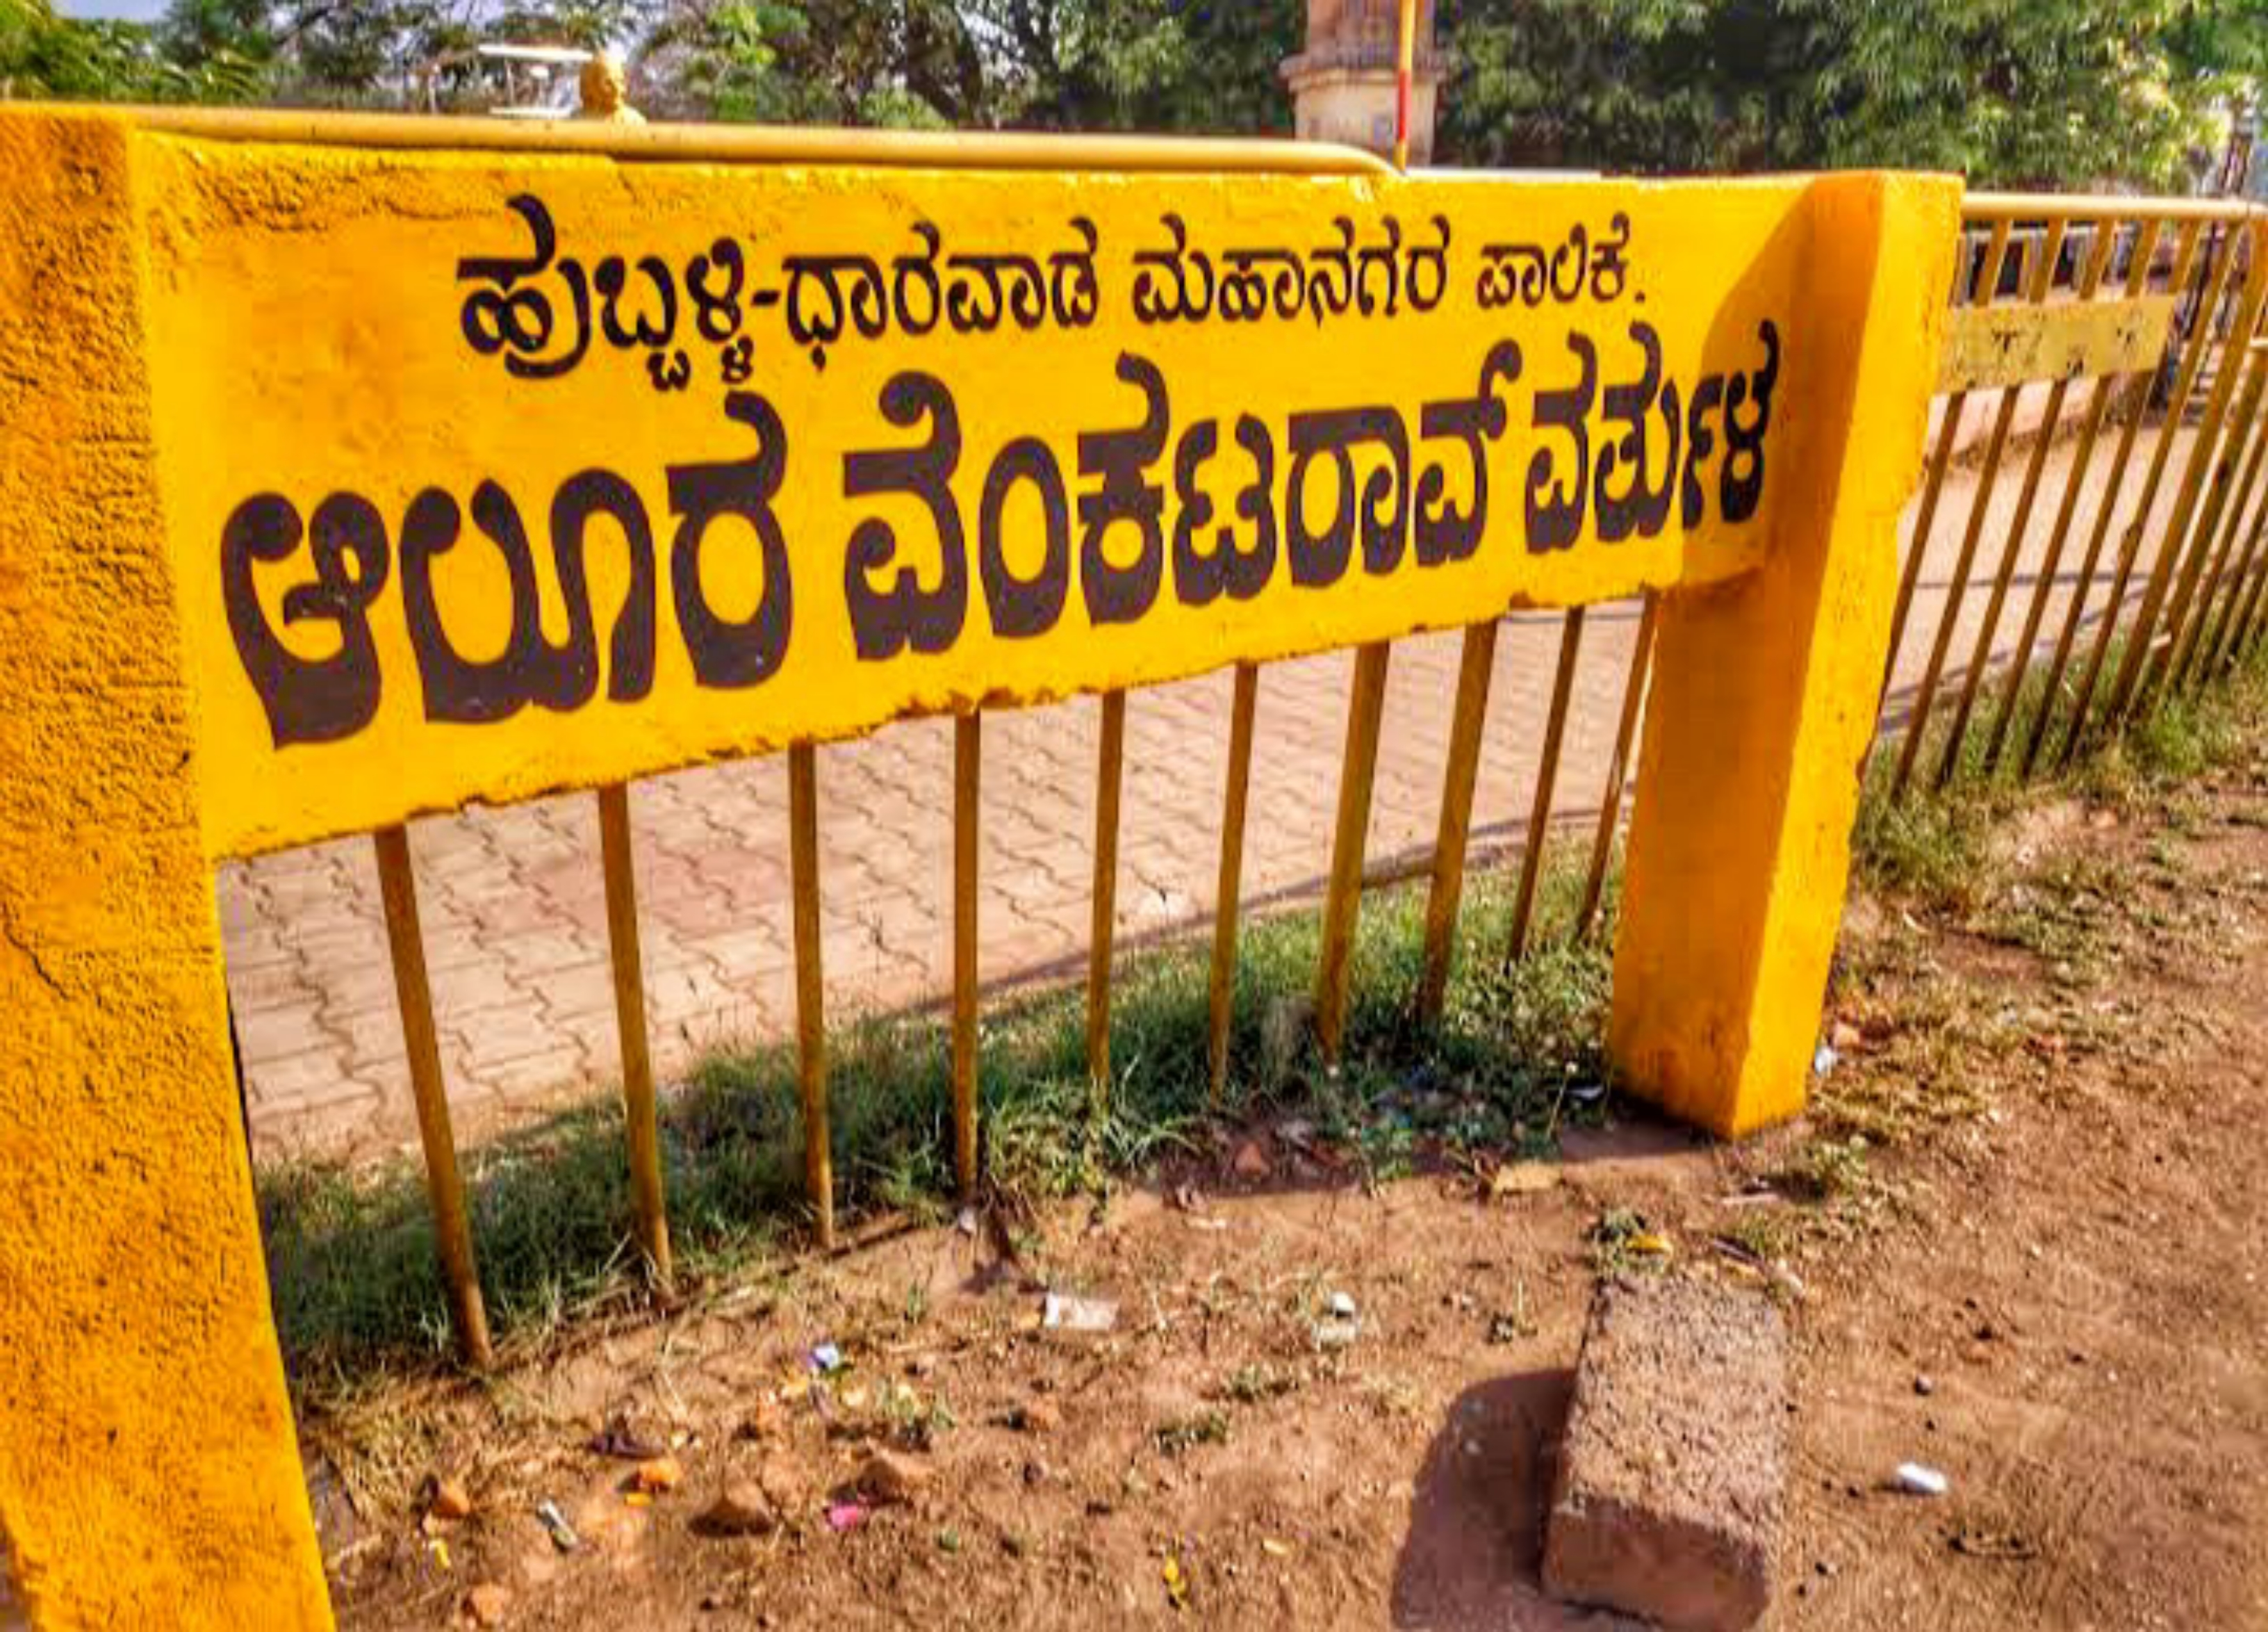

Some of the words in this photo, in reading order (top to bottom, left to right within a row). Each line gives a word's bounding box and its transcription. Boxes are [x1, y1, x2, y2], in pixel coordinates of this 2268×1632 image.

[450, 174, 769, 400] ಹುಬ್ಬಳ್ಳಿ
[780, 204, 1110, 382] ಧಾರವಾಡ
[1117, 197, 1459, 335] ಮಹಾನಗರ
[1474, 206, 1638, 318] ಪಾಲಿಕೆ
[208, 380, 800, 759] ಆಲೂರ
[837, 307, 1789, 671] ವೆಂಕಟರಾವ್‌ ವರ್ತುಕ